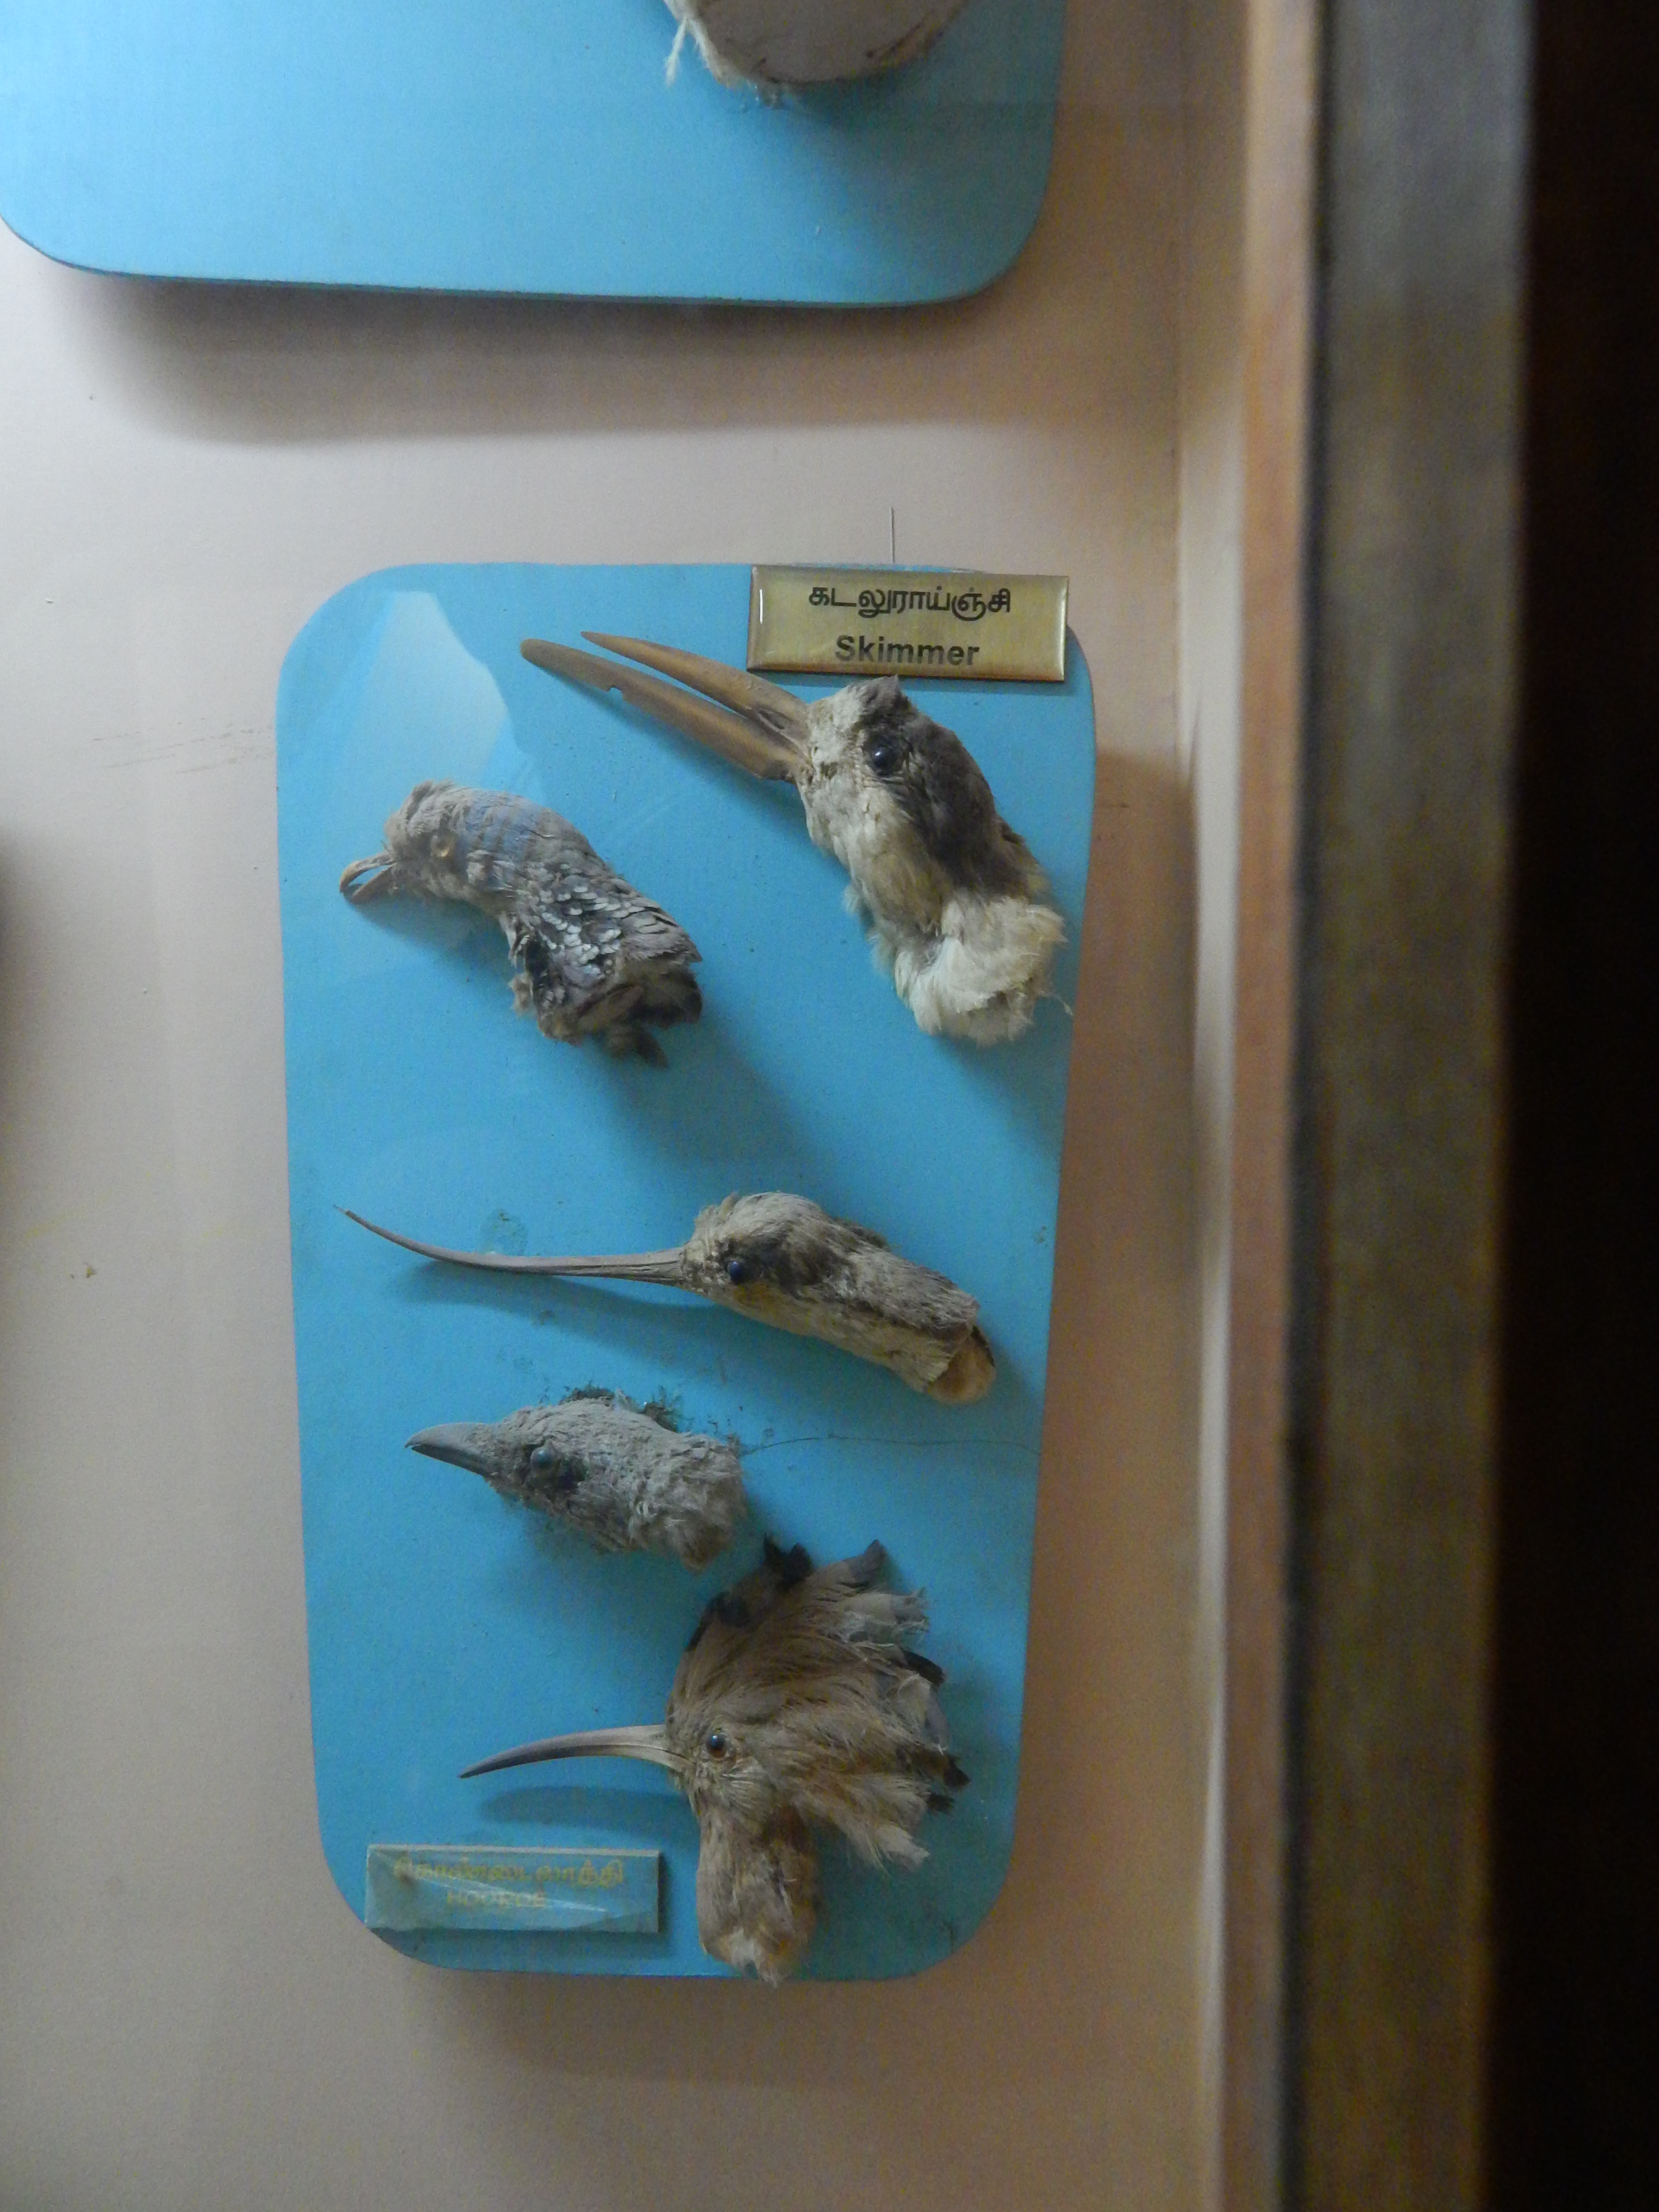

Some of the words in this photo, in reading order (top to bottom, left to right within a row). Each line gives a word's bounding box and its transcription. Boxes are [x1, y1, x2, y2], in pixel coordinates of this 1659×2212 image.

[805, 580, 1015, 626] கடலுராய்ஞ்சி
[833, 627, 985, 670] Skimmer
[439, 1877, 555, 1920] HOORDE